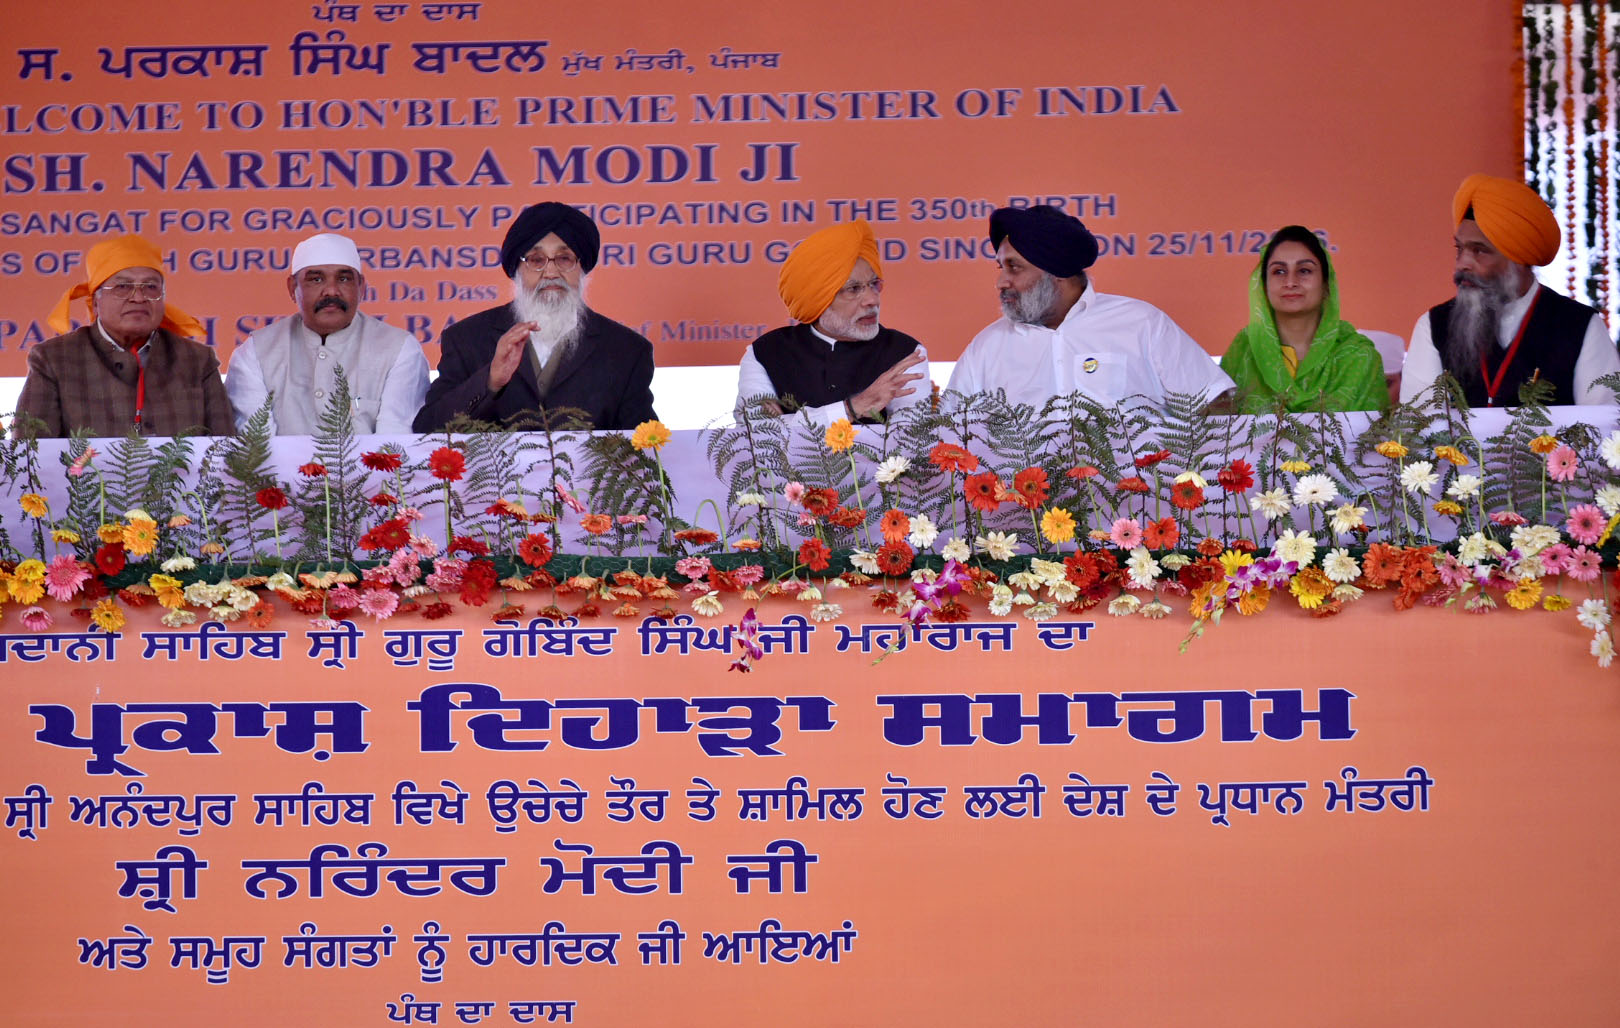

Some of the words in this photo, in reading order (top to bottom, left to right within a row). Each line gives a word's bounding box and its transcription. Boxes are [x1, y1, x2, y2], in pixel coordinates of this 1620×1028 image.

[300, 0, 369, 24] ਪੰਥ
[371, 0, 410, 24] ਦਾ
[420, 0, 482, 24] ਦਾਸ
[13, 36, 79, 91] ਸ.
[91, 31, 272, 89] ਪਰਕਾਸ਼
[279, 25, 397, 83] ਸਿੰਘ
[402, 30, 557, 80] ਬਾਦਲ
[554, 42, 608, 79] ਮੁੱਖ
[609, 43, 691, 76] ਮੰਤਰੀ
[701, 38, 786, 79] ਪੰਜਾਬ
[2, 91, 190, 137] LCOME
[191, 93, 274, 133] TO
[274, 90, 510, 134] HON
[510, 83, 685, 131] PRIME
[684, 80, 947, 131] MINISTER
[950, 80, 1030, 123] OF
[1029, 75, 1192, 122] INDIA
[0, 145, 110, 198] SH.
[120, 144, 521, 198] NARENDRA
[523, 138, 727, 192] MODI
[736, 135, 803, 189] JI
[0, 251, 22, 279] S
[29, 244, 85, 279] OF
[0, 199, 153, 240] SANGAT
[154, 197, 237, 238] FOR
[183, 237, 293, 278] GURU
[236, 201, 486, 237] GRACIOUSLY
[376, 238, 507, 277] BANSD
[483, 199, 516, 233] P
[597, 237, 640, 271] RI
[596, 196, 774, 229] CIPATING
[642, 231, 759, 269] GURU
[757, 234, 799, 270] G
[776, 194, 817, 226] IN
[824, 194, 899, 226] THE
[882, 230, 914, 263] D
[906, 189, 997, 223] 350th
[913, 229, 1002, 265] SING
[1068, 188, 1124, 220] TH
[1140, 225, 1252, 259] 25/11/
[383, 277, 439, 308] Da
[429, 278, 502, 306] Dass
[654, 306, 771, 351] Minister
[0, 609, 135, 677] ਦਾਨੀ
[131, 612, 294, 674] ਸਾਹਿਬ
[295, 615, 370, 677] ਸ੍ਰੀ
[374, 620, 470, 676] ਗੁਰੂ
[472, 615, 624, 669] ਗੋਬਿੰਦ
[628, 606, 744, 664] ਸਿੰਘ
[755, 609, 826, 668] ਜੀ
[830, 613, 1021, 663] ਮਹਾਰਾਜ
[1029, 618, 1098, 657] ਦਾ
[17, 691, 383, 782] ਪ੍ਰਕਾਸ਼
[394, 675, 846, 771] ਦਿਹਾੜਾ
[867, 678, 1372, 758] ਸਮਾਗਮ
[0, 773, 61, 844] ਸ੍ਰੀ
[61, 779, 247, 839] ਅਨੰਦਪੁਰ
[245, 777, 385, 836] ਸਾਹਿਬ
[381, 771, 478, 834] ਵਿਖੇ
[478, 772, 596, 838] ਉਚੇਚੇ
[596, 770, 675, 828] ਤੌਰ
[675, 771, 729, 829] ਤੇ
[727, 766, 873, 831] ਸ਼ਾਮਿਲ
[874, 764, 955, 830] ਹੋਣ
[958, 770, 1047, 827] ਲਈ
[1058, 771, 1130, 825] ਦੇਸ਼
[1138, 768, 1182, 823] ਦੇ
[1191, 772, 1315, 837] ਪ੍ਰਧਾਨ
[1319, 764, 1437, 818] ਮੰਤਰੀ
[100, 838, 220, 921] ਸ਼੍ਰੀ
[231, 837, 512, 912] ਨਰਿੰਦਰ
[528, 830, 704, 907] ਮੋਦੀ
[717, 837, 818, 901] ਜੀ
[71, 919, 156, 977] ਅਤੇ
[162, 926, 274, 988] ਸਮੂਹ
[275, 917, 406, 976] ਸੰਗਤਾਂ
[409, 911, 457, 988] ਨੂੰ
[462, 916, 628, 975] ਹਾਰਦਿਕ
[629, 915, 690, 972] ਜੀ
[692, 903, 865, 983] ਆਇਆਂ
[376, 987, 448, 1027] ਪੰਥ
[451, 993, 499, 1025] ਦਾ
[502, 995, 582, 1025] ਦਾਸ